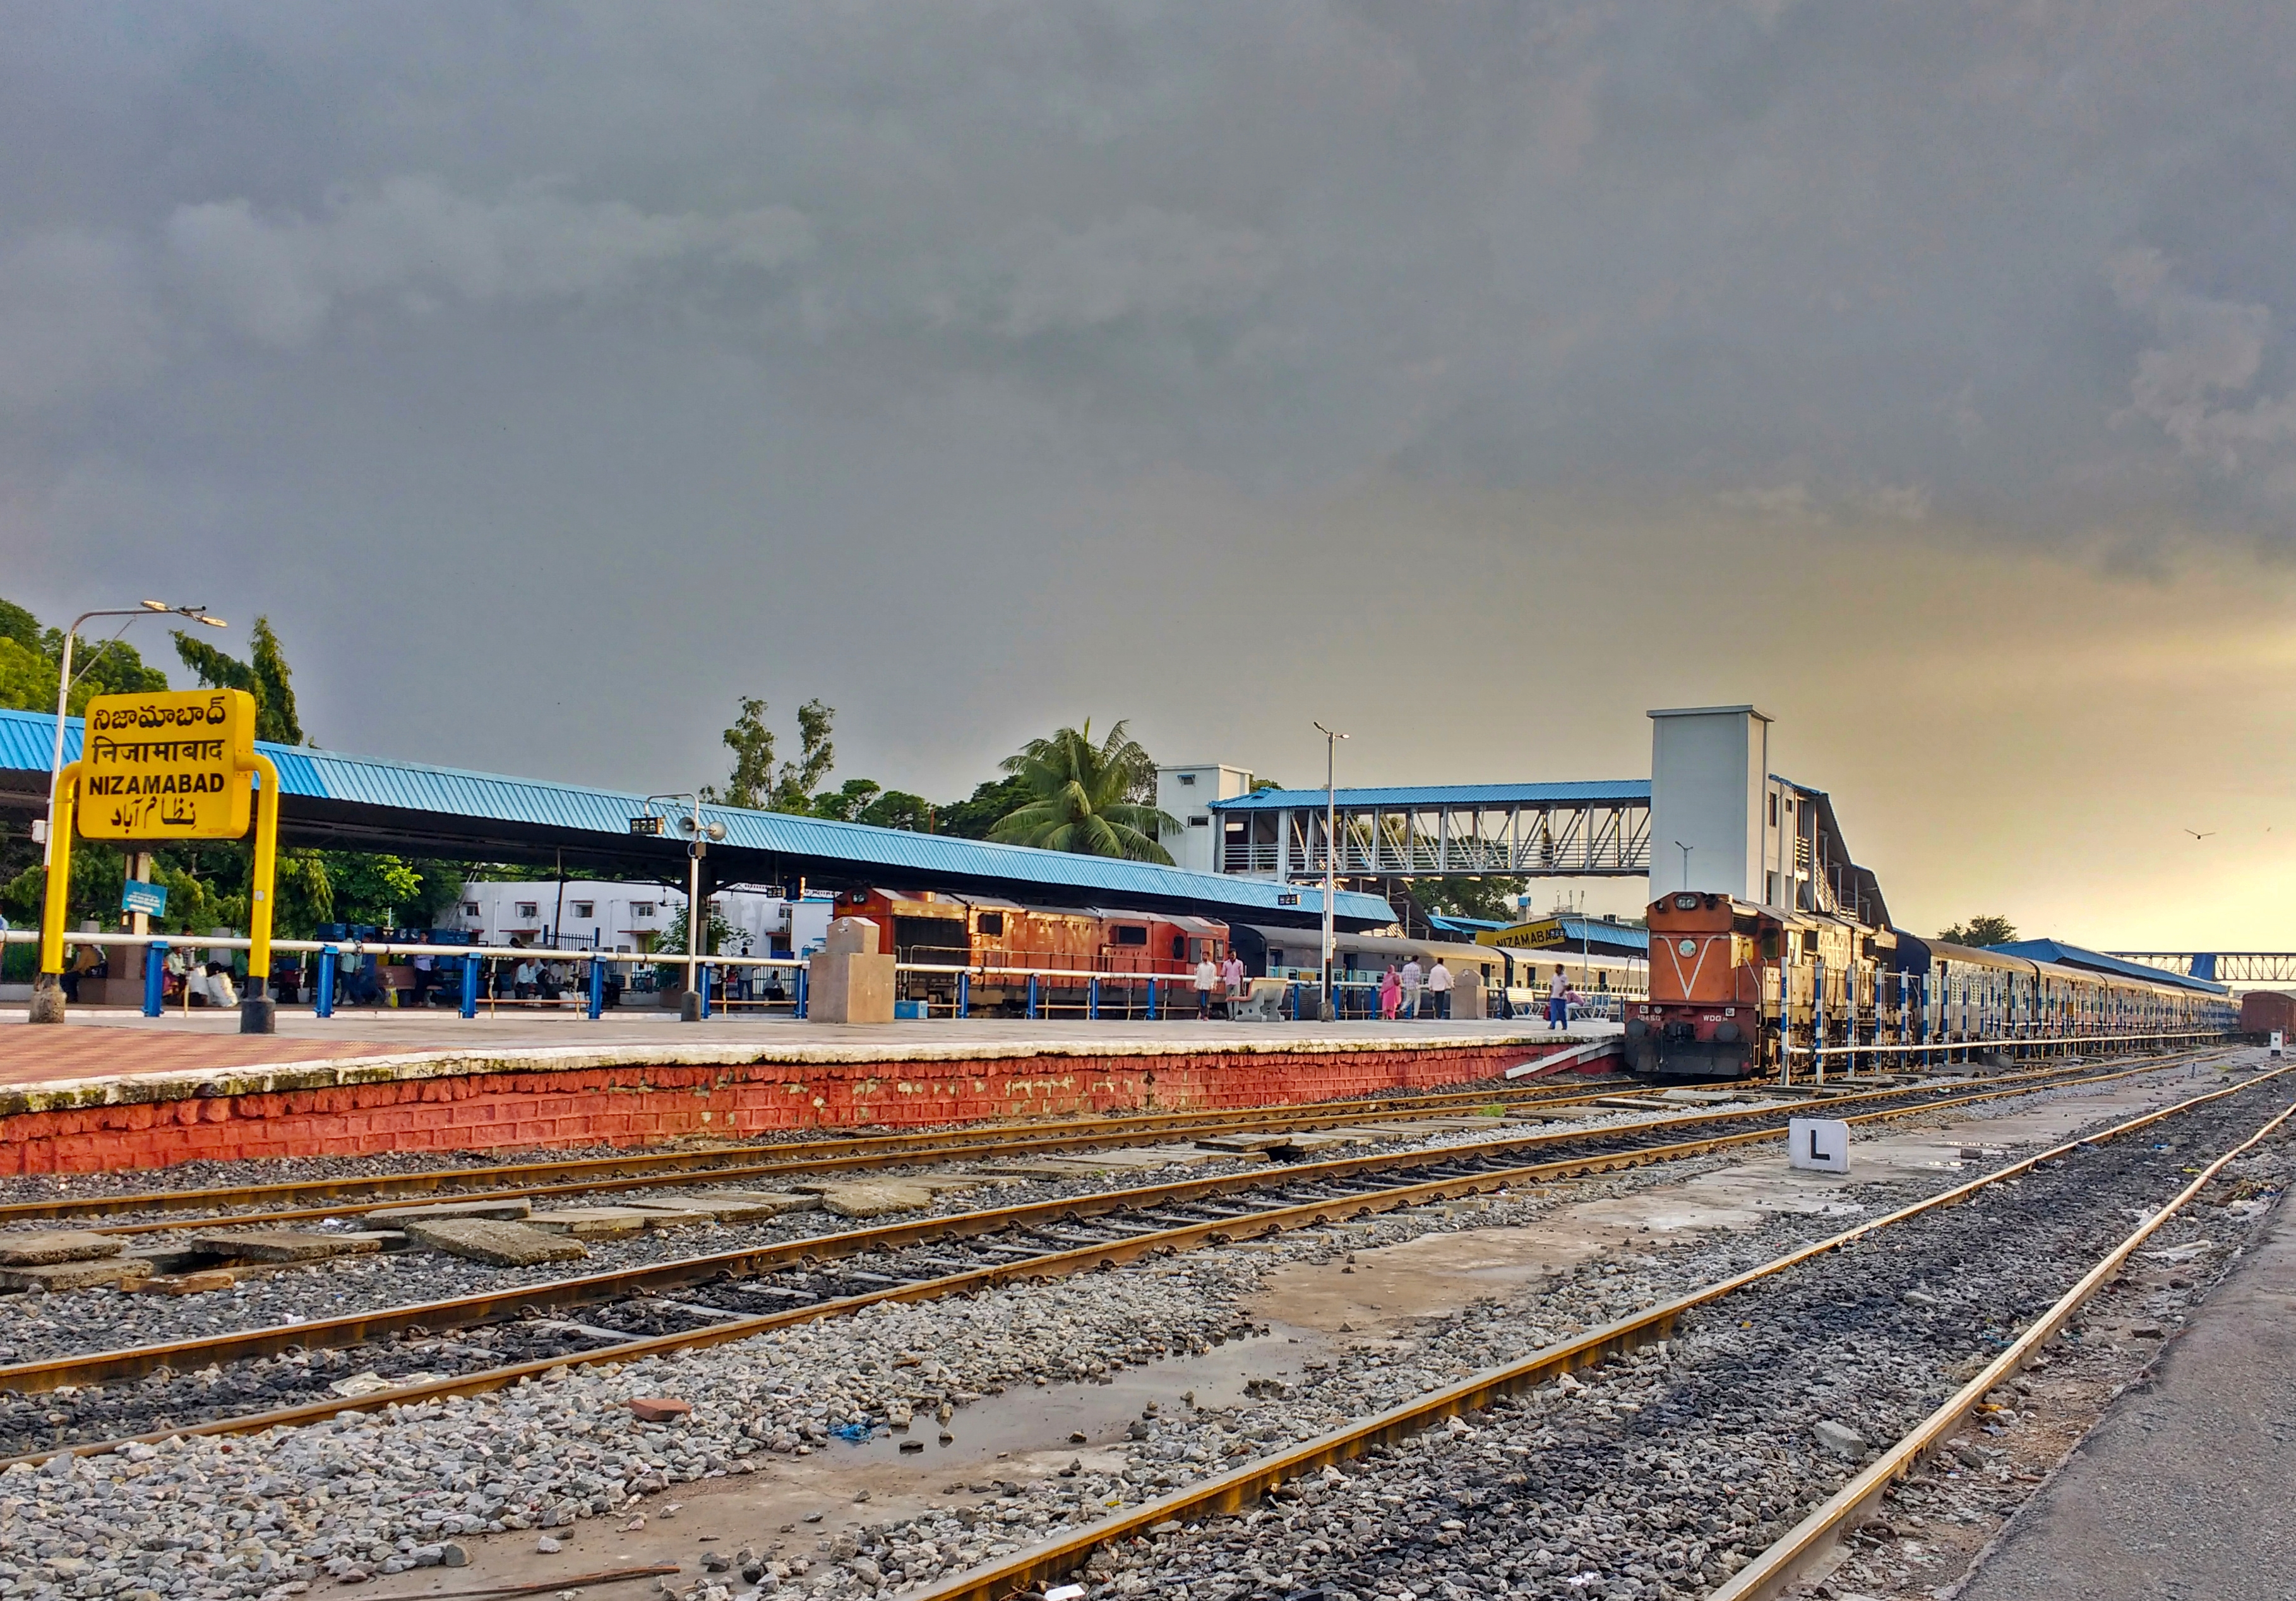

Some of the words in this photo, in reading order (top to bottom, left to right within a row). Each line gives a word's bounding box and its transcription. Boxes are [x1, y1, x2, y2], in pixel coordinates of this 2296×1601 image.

[90, 692, 229, 731] నిజామాబాద్
[87, 729, 228, 764] निजामाबाद
[87, 770, 228, 796] NIZAMABAD
[107, 793, 199, 837] نظام آباد,